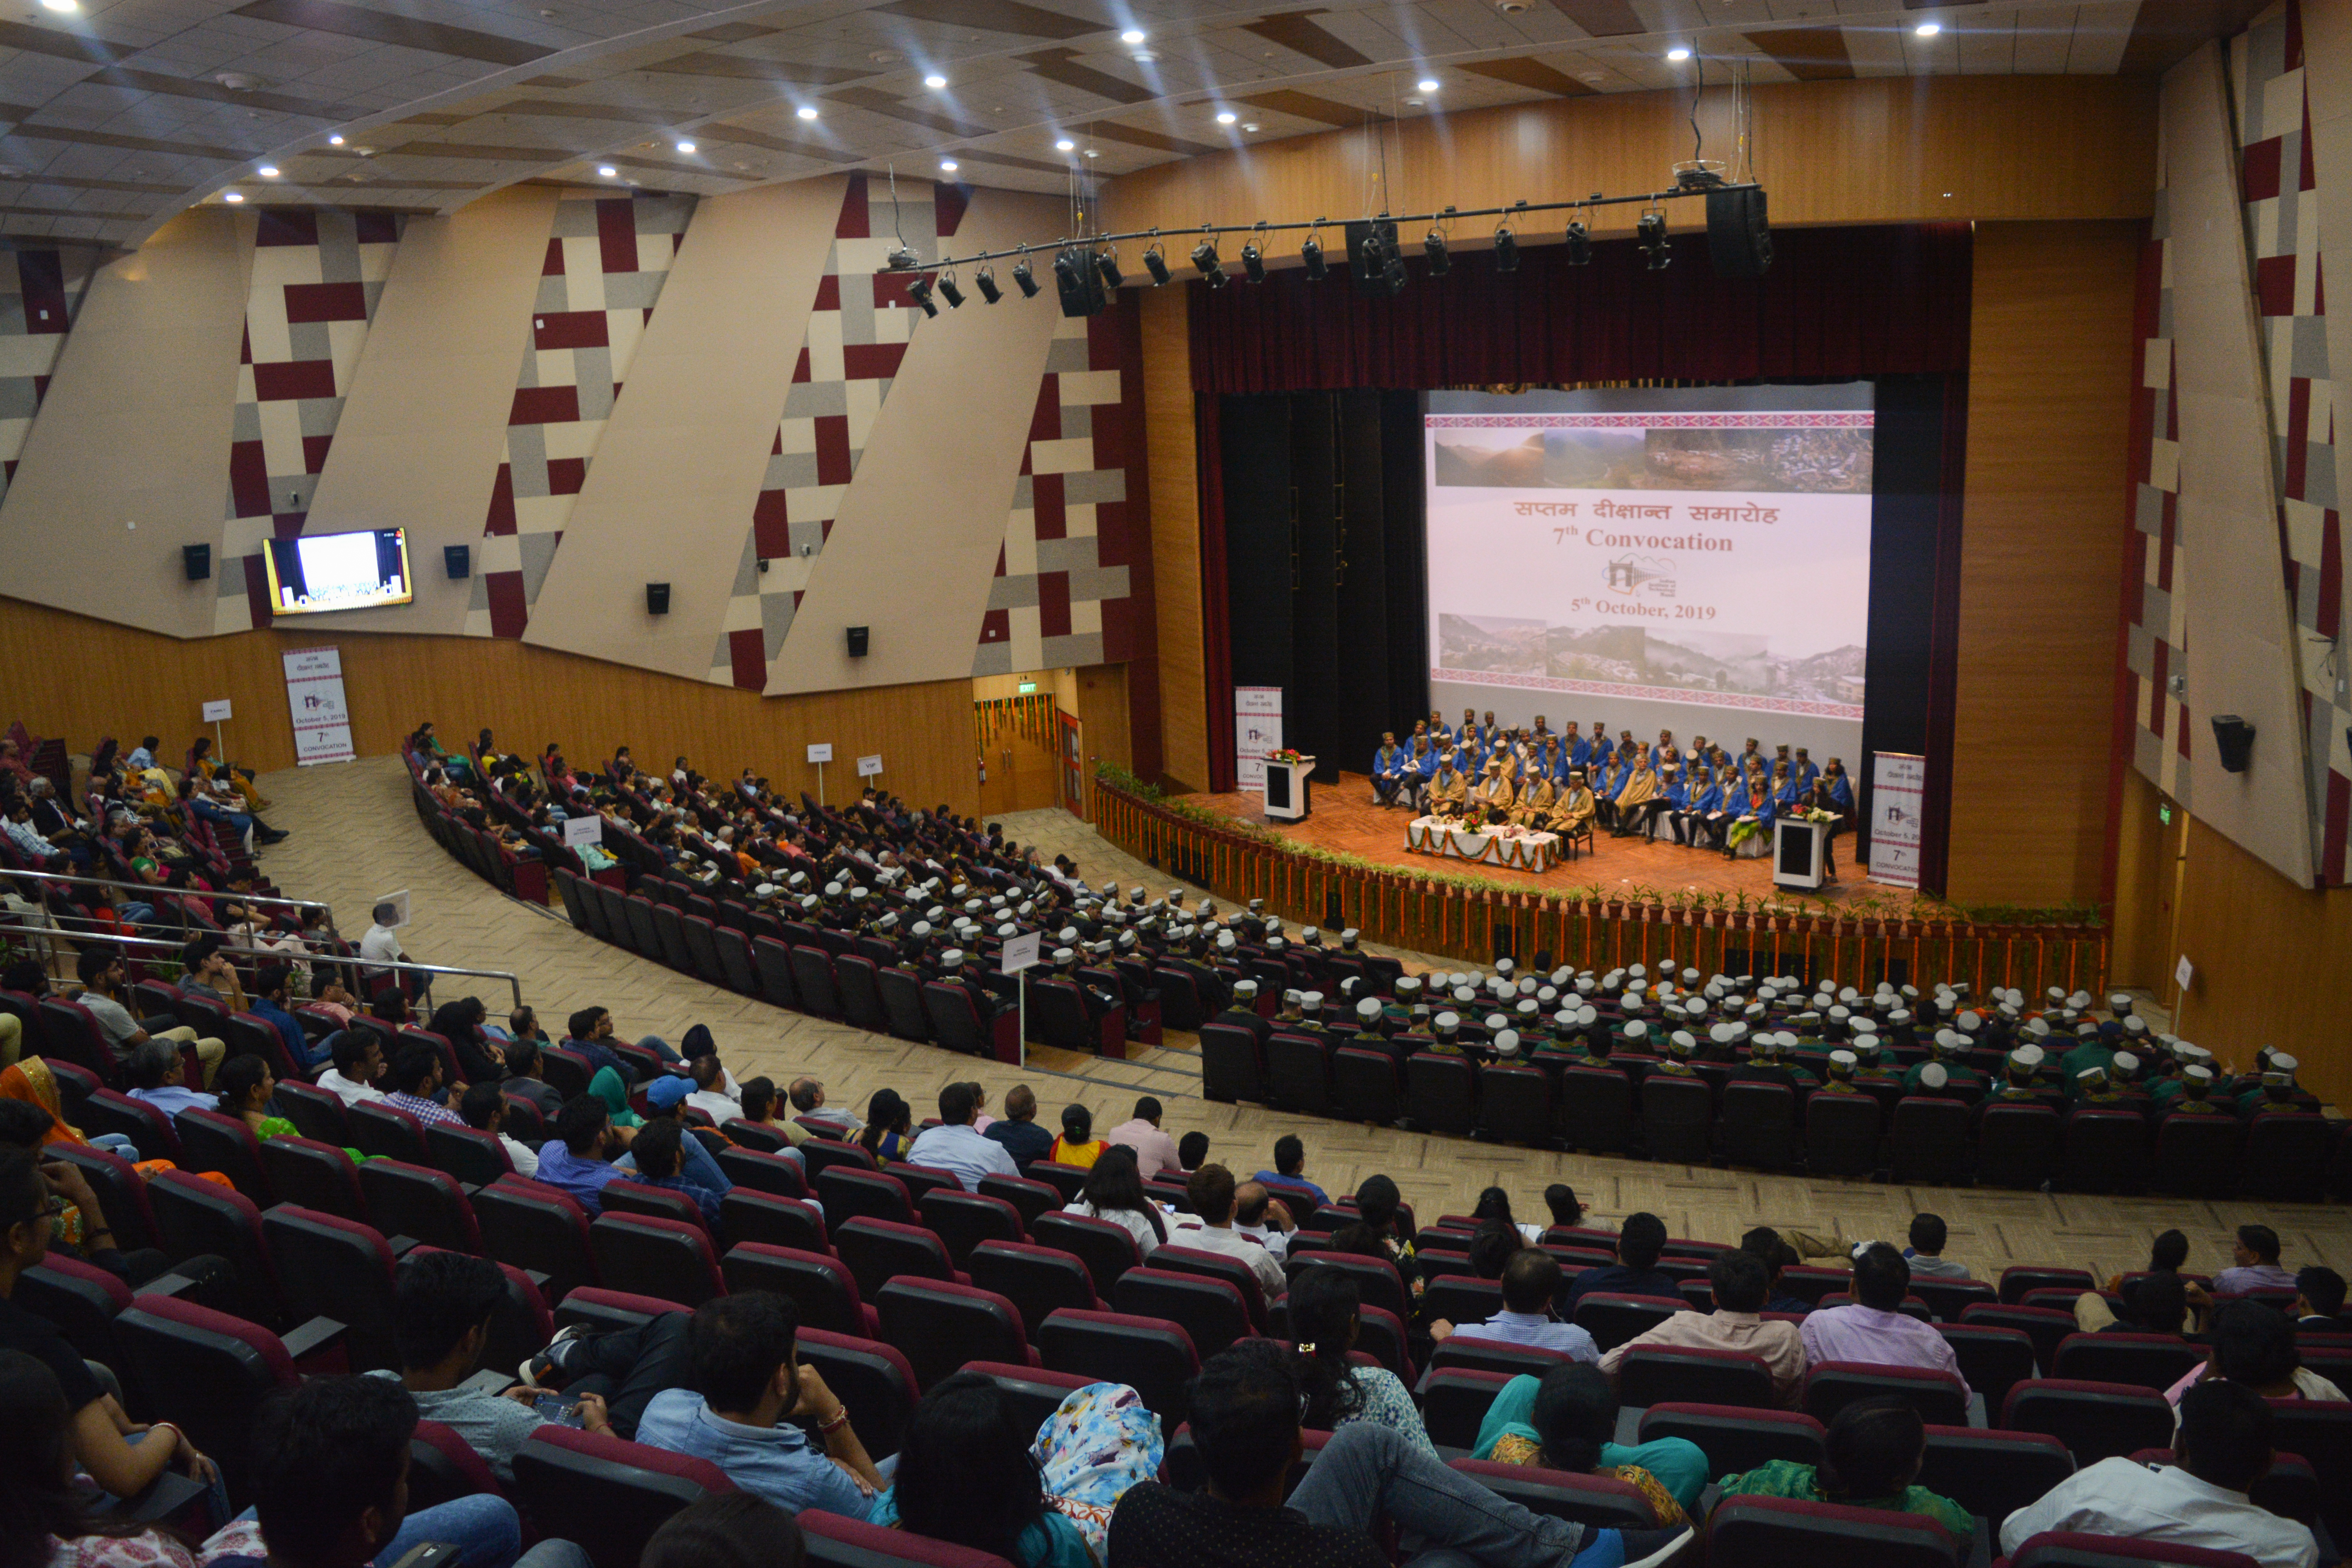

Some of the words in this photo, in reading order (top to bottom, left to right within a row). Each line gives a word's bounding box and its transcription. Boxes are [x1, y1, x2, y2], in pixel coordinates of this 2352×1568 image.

[1514, 502, 1579, 517] सप्तम
[1592, 497, 1672, 520] दीक्षान्त
[1688, 500, 1780, 526] समारोह
[1553, 525, 1579, 546] 7th
[1585, 529, 1732, 552] Convocation
[1571, 596, 1590, 614] 5th
[1593, 599, 1668, 618] October,
[1673, 603, 1717, 621] 2019